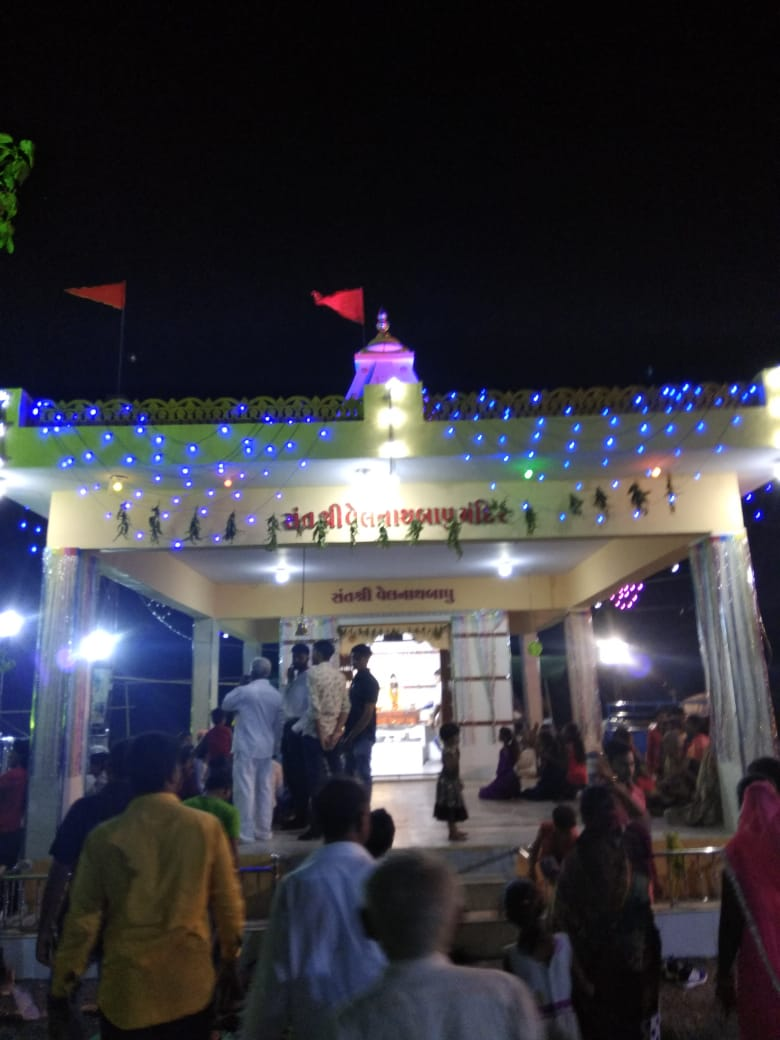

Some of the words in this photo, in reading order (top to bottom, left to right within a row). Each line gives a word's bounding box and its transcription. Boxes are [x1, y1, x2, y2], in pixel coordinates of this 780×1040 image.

[279, 502, 316, 531] સંત
[317, 501, 344, 531] શ્રી
[343, 499, 461, 529] વેલનાથબાપુ
[459, 495, 511, 529] મંદિર
[326, 583, 375, 603] સંતશ્રી
[373, 583, 458, 604] વેલનાથબાપુ